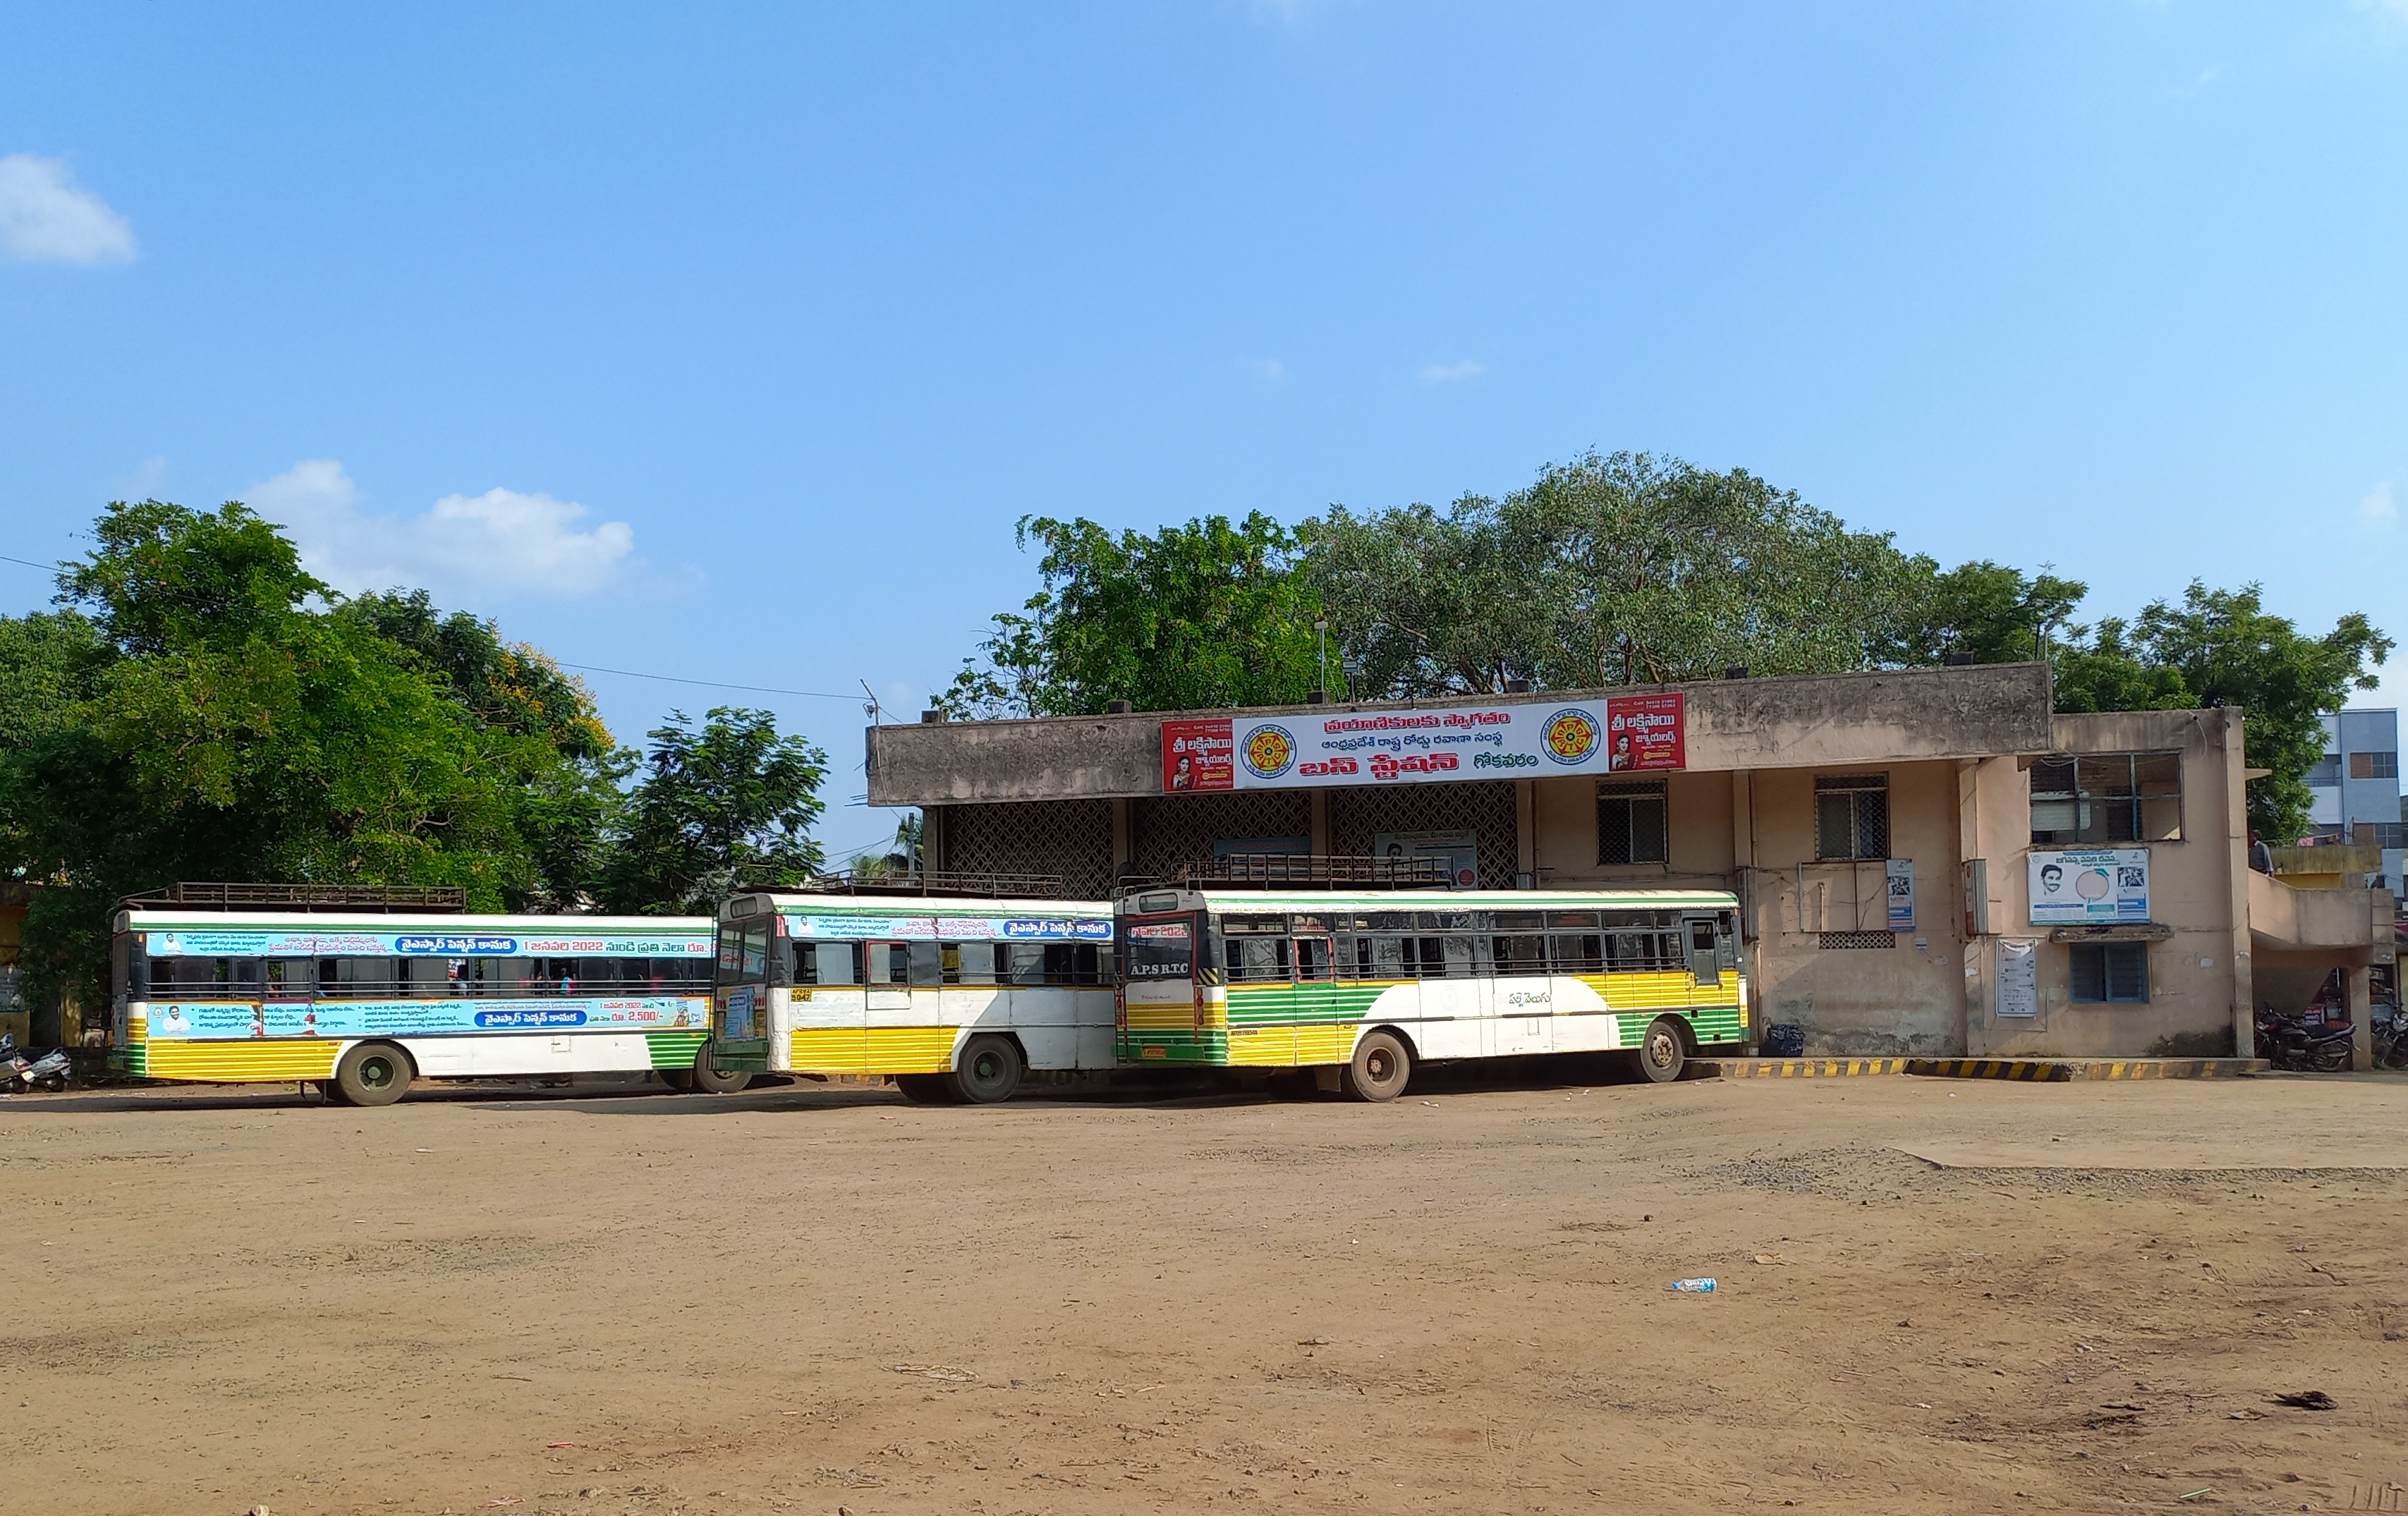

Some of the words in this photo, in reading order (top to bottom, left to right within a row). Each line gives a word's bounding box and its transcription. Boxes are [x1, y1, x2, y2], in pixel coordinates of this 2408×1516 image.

[1320, 711, 1442, 736] ప్రయాణికులకు
[1440, 707, 1512, 731] స్వాగతం
[1603, 708, 1628, 734] శ్ర
[1622, 709, 1677, 735] ಲಕ್ಷ್ಮಿನಾಯ
[1169, 733, 1188, 755] శ్ర
[1184, 733, 1234, 758] లక్ష్మిసాయ
[1318, 733, 1378, 752] ఆంధ్రప్రదేశ్
[1375, 734, 1406, 754] రాష్ట్ర
[1401, 730, 1433, 752] రోడ్డు
[1430, 731, 1475, 747] రవాణా
[1472, 728, 1504, 749] సంస్థ
[1632, 728, 1679, 747] జ్యూయలర్స్
[1193, 751, 1236, 769] జ్యూయలర్స్
[1296, 752, 1361, 777] బస్
[1366, 749, 1461, 783] స్టేషన్
[1471, 746, 1541, 771] గోకవరం
[1007, 919, 1078, 939] వైఎస్సార్ పెన్షన్
[1074, 919, 1108, 937] కామక
[1128, 922, 1160, 941] స్తవరి
[1160, 922, 1191, 940] 2022
[395, 933, 450, 955] నైఎస్సార్
[444, 936, 479, 955] పెన్షన్
[475, 934, 515, 951] కానుక
[528, 936, 573, 955] జనపరి
[569, 939, 605, 953] 2022
[600, 936, 637, 954] మండి
[634, 937, 662, 958] ప్రత
[657, 937, 687, 955] నెలా
[685, 937, 710, 955] రూ.
[1128, 960, 1191, 979] A.P.S.R.T.C
[482, 1010, 524, 1028] వైఎస్సార్
[519, 1010, 551, 1029] పెన్షన్
[545, 1010, 580, 1026] కామక
[607, 1010, 628, 1025] రూ
[599, 1000, 643, 1013] 1 జనవరి 2022
[626, 1008, 666, 1023] 2,500/-
[1505, 986, 1555, 1008] పల్లె వెలుగు